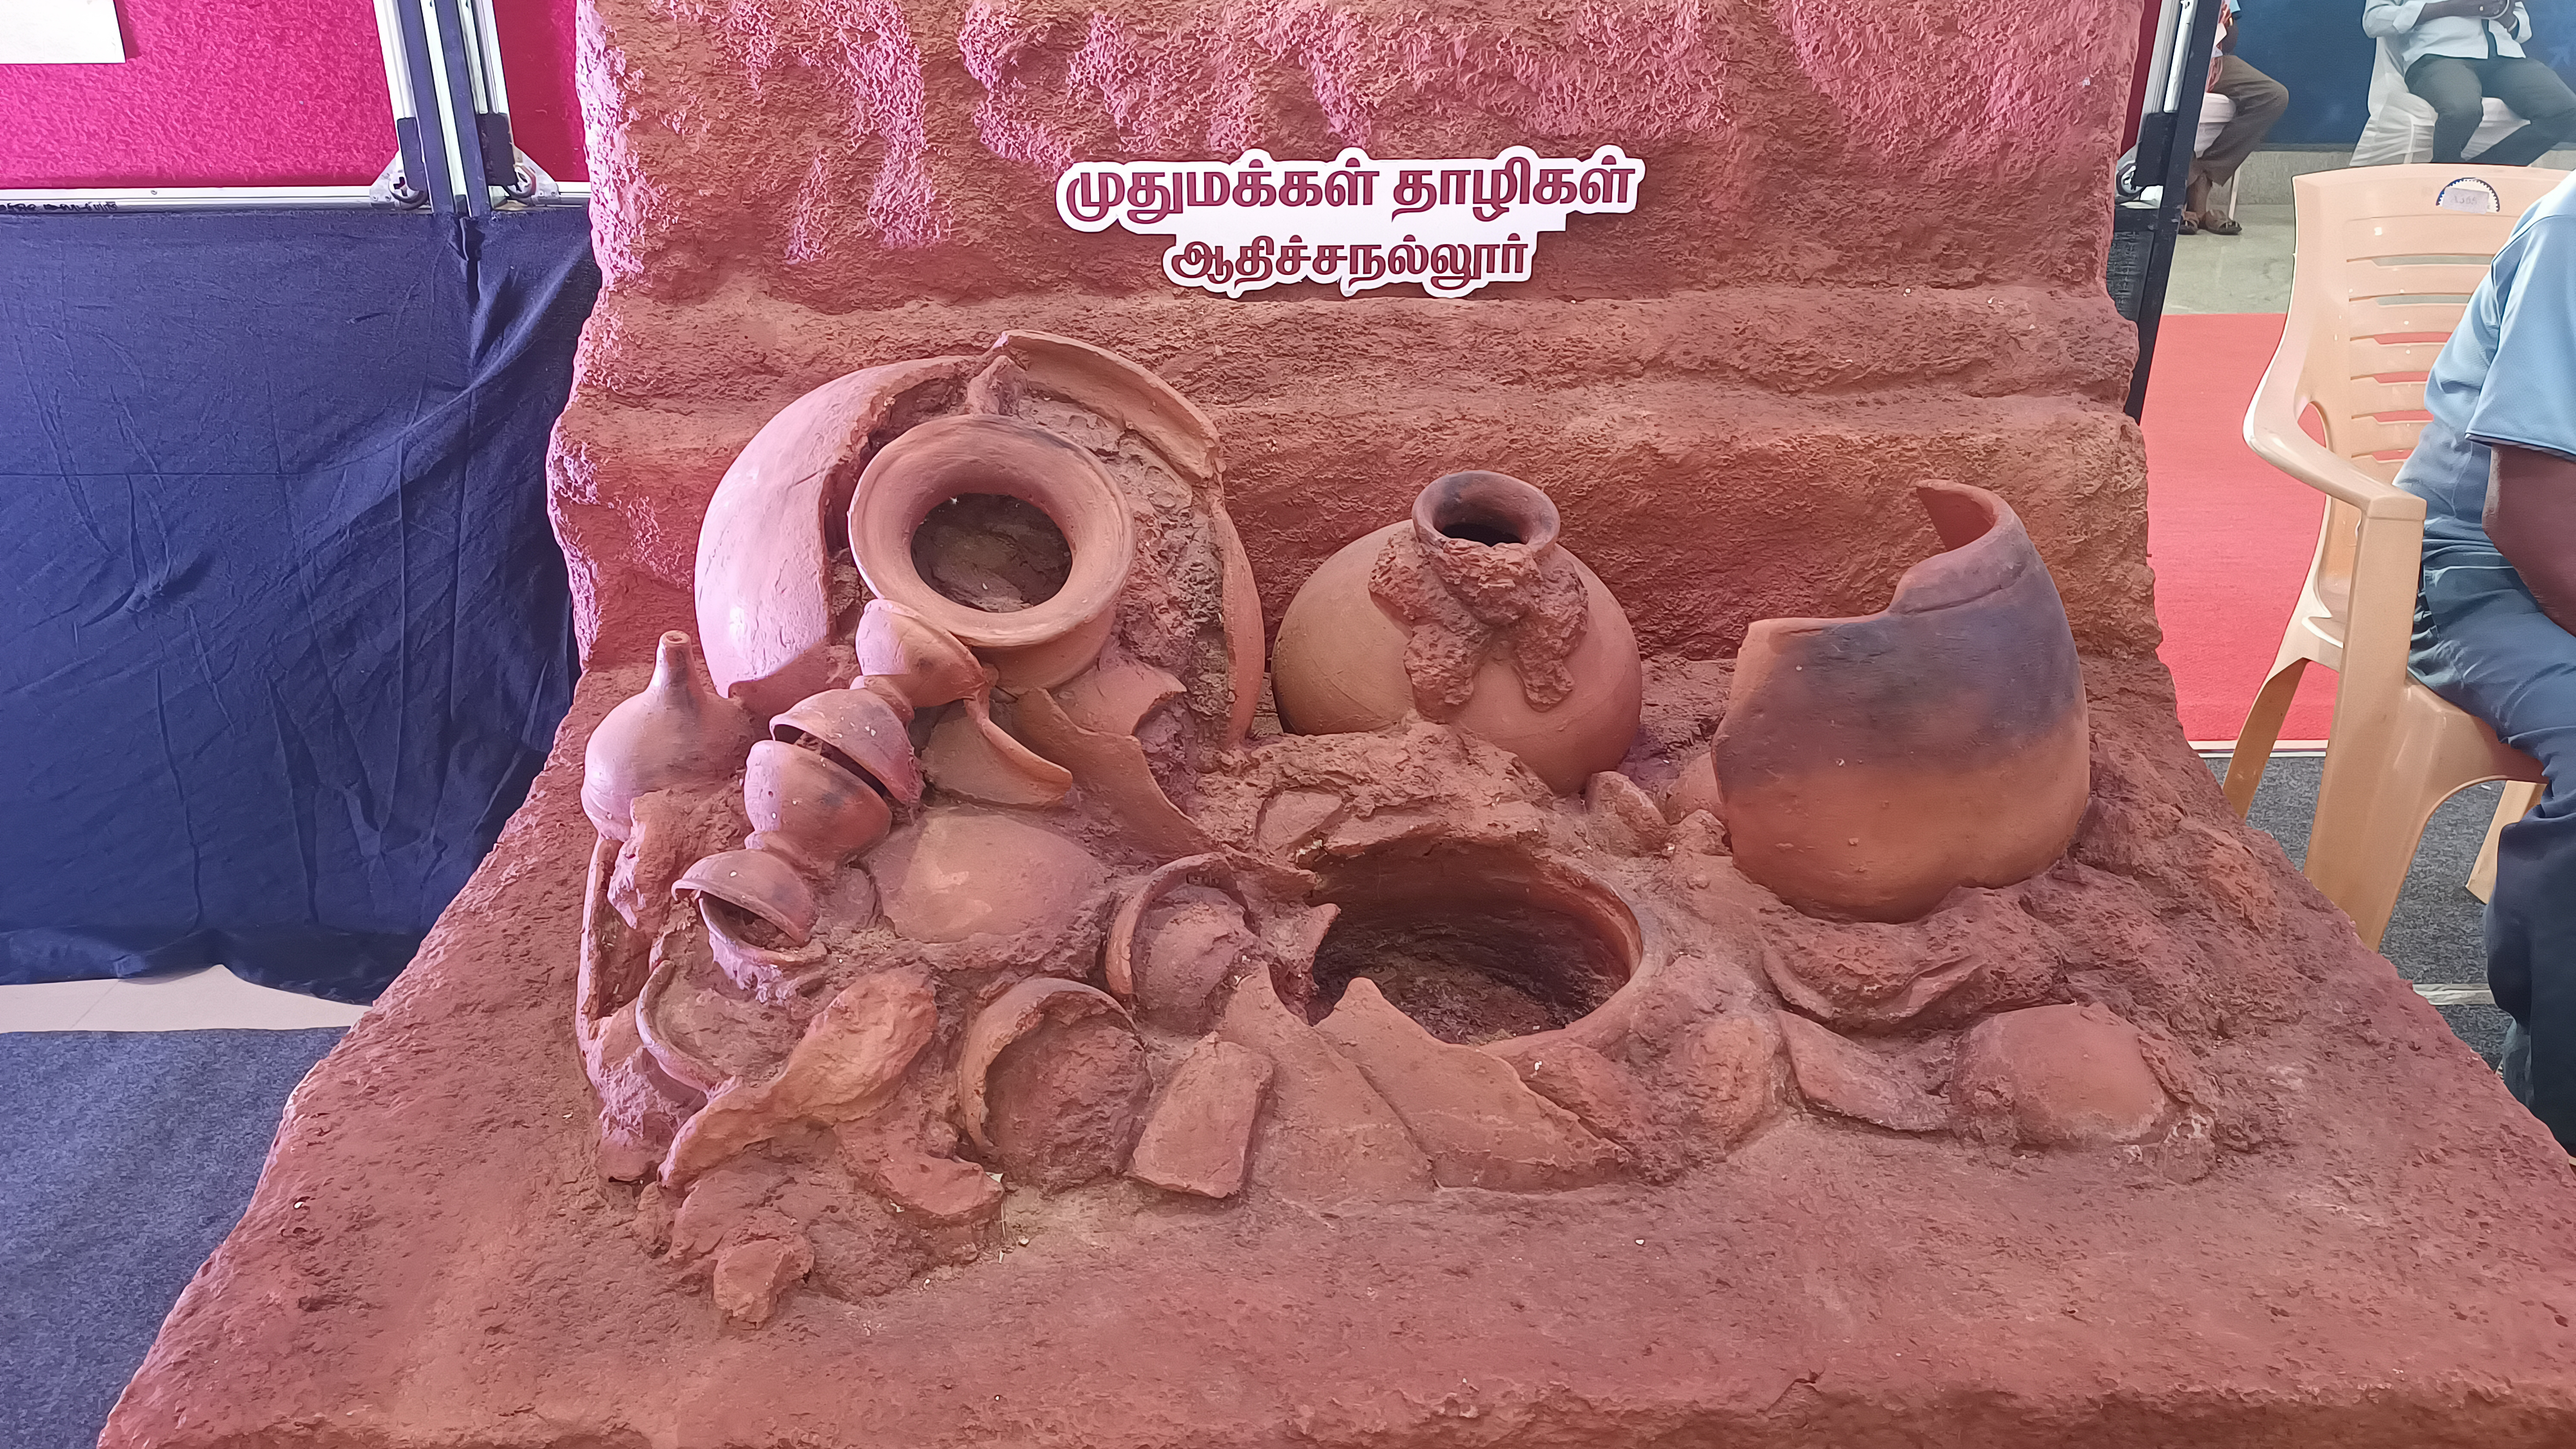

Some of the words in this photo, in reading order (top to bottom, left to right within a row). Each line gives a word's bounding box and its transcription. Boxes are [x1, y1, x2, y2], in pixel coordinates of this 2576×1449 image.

[1064, 156, 1382, 228] முதுமக்கள்
[1388, 153, 1637, 226] தாழிகள்
[1168, 232, 1529, 292] ஆதிச்சநல்லூா்